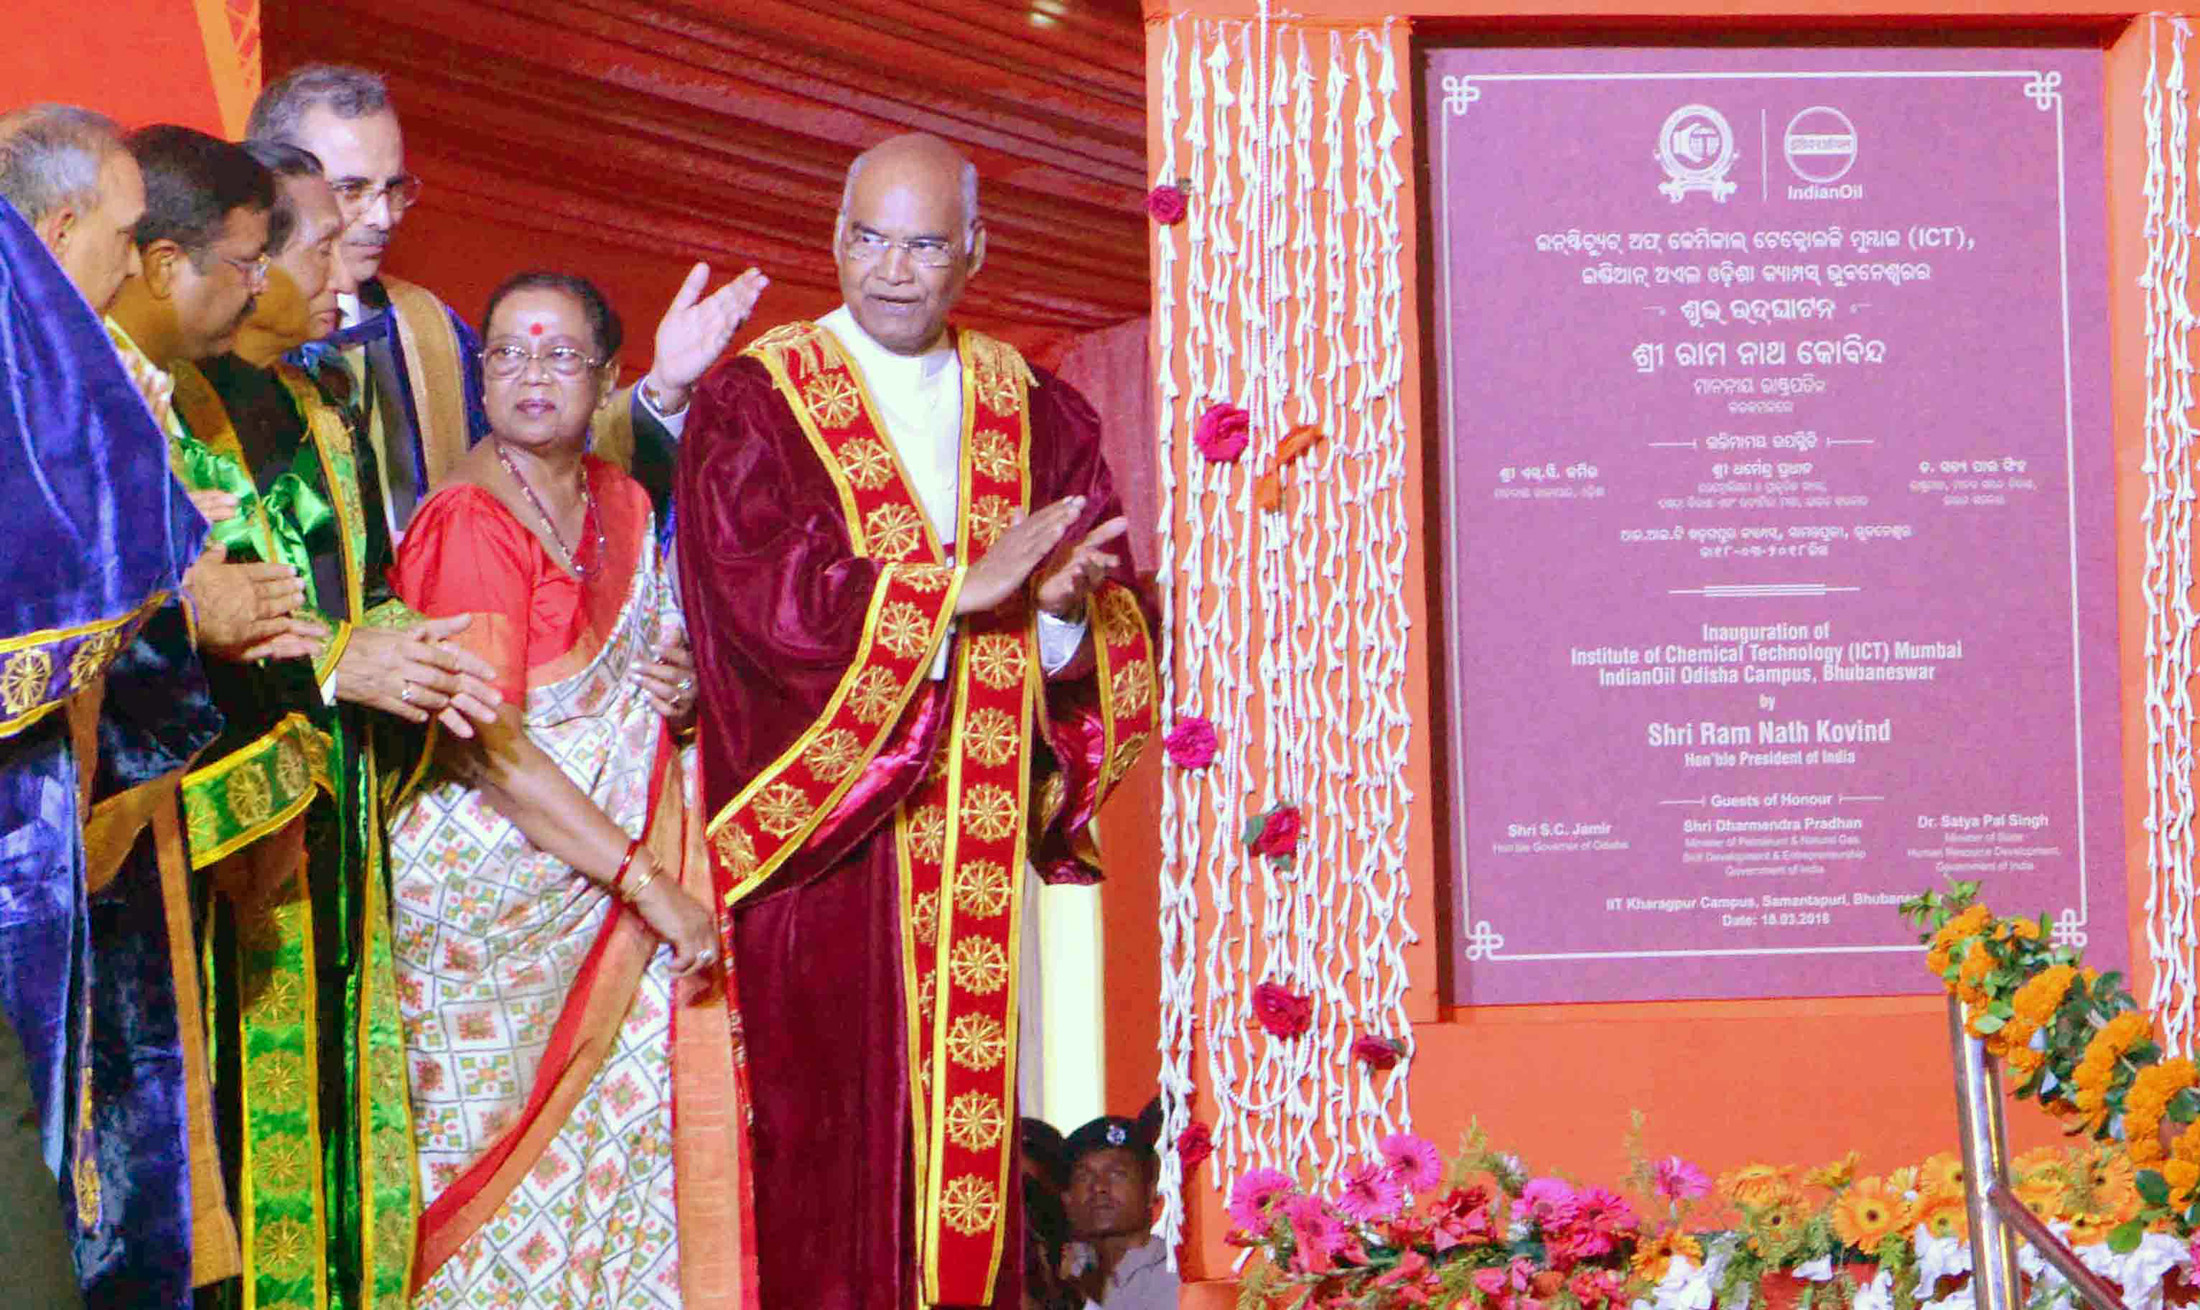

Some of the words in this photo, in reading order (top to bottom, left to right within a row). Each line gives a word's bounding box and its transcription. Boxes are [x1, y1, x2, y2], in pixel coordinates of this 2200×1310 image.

[1527, 223, 1625, 261] ଇନ୍‌ଷ୍ଟିଚ୍ୟୁଟ୍
[1623, 225, 1667, 258] ଅଫ୍
[1663, 221, 1755, 259] କେମିକାଲ
[1749, 220, 1852, 257] ଟେକ୍ନୋଲଜି
[1843, 222, 1904, 259] ମୁମ୍ବାଇ
[1909, 221, 1961, 252] ICT
[1577, 257, 1654, 291] ଇଣ୍ଡିଆନ୍
[1650, 255, 1706, 293] ଅଏଲ
[1701, 253, 1760, 292] ଓଡ଼ିଶା
[1755, 259, 1825, 289] କ୍ୟାମ୍ପସ୍
[1822, 257, 1937, 292] ଭୁବନେଶ୍ବରର
[1672, 291, 1733, 335] ଶୁଭ
[1725, 290, 1841, 331] ଉଦ୍‌ଘାଟନ
[1631, 332, 1673, 381] ଶ୍ରୀ
[1671, 334, 1731, 375] ରାମ
[1730, 329, 1791, 371] ନାଥ
[1794, 328, 1894, 371] କୋବିନ୍ଦ
[1757, 367, 1831, 403] ରାଷ୍ଟ୍ରପତିକ
[1698, 615, 1810, 646] Inauguration
[1806, 618, 1833, 645] of
[1565, 640, 1642, 672] Institute
[1595, 662, 1682, 689] IndianOil
[1639, 642, 1665, 669] of
[1660, 638, 1750, 667] Chemical
[1677, 656, 1743, 689] Odisha
[1738, 658, 1818, 687] Campus,
[1745, 638, 1850, 670] Technology
[1847, 638, 1894, 666] ICT)
[1818, 661, 1942, 683] Bhubaneswar
[1888, 634, 1967, 667] Mumbai
[1751, 689, 1781, 718] by
[1639, 714, 1699, 753] Shri
[1695, 715, 1756, 752] Ram
[1754, 713, 1813, 750] Nath
[1814, 713, 1893, 747] Kovind
[1676, 743, 1743, 773] Hon'ble
[1735, 742, 1808, 770] President
[1800, 746, 1825, 771] of
[1818, 747, 1862, 768] India